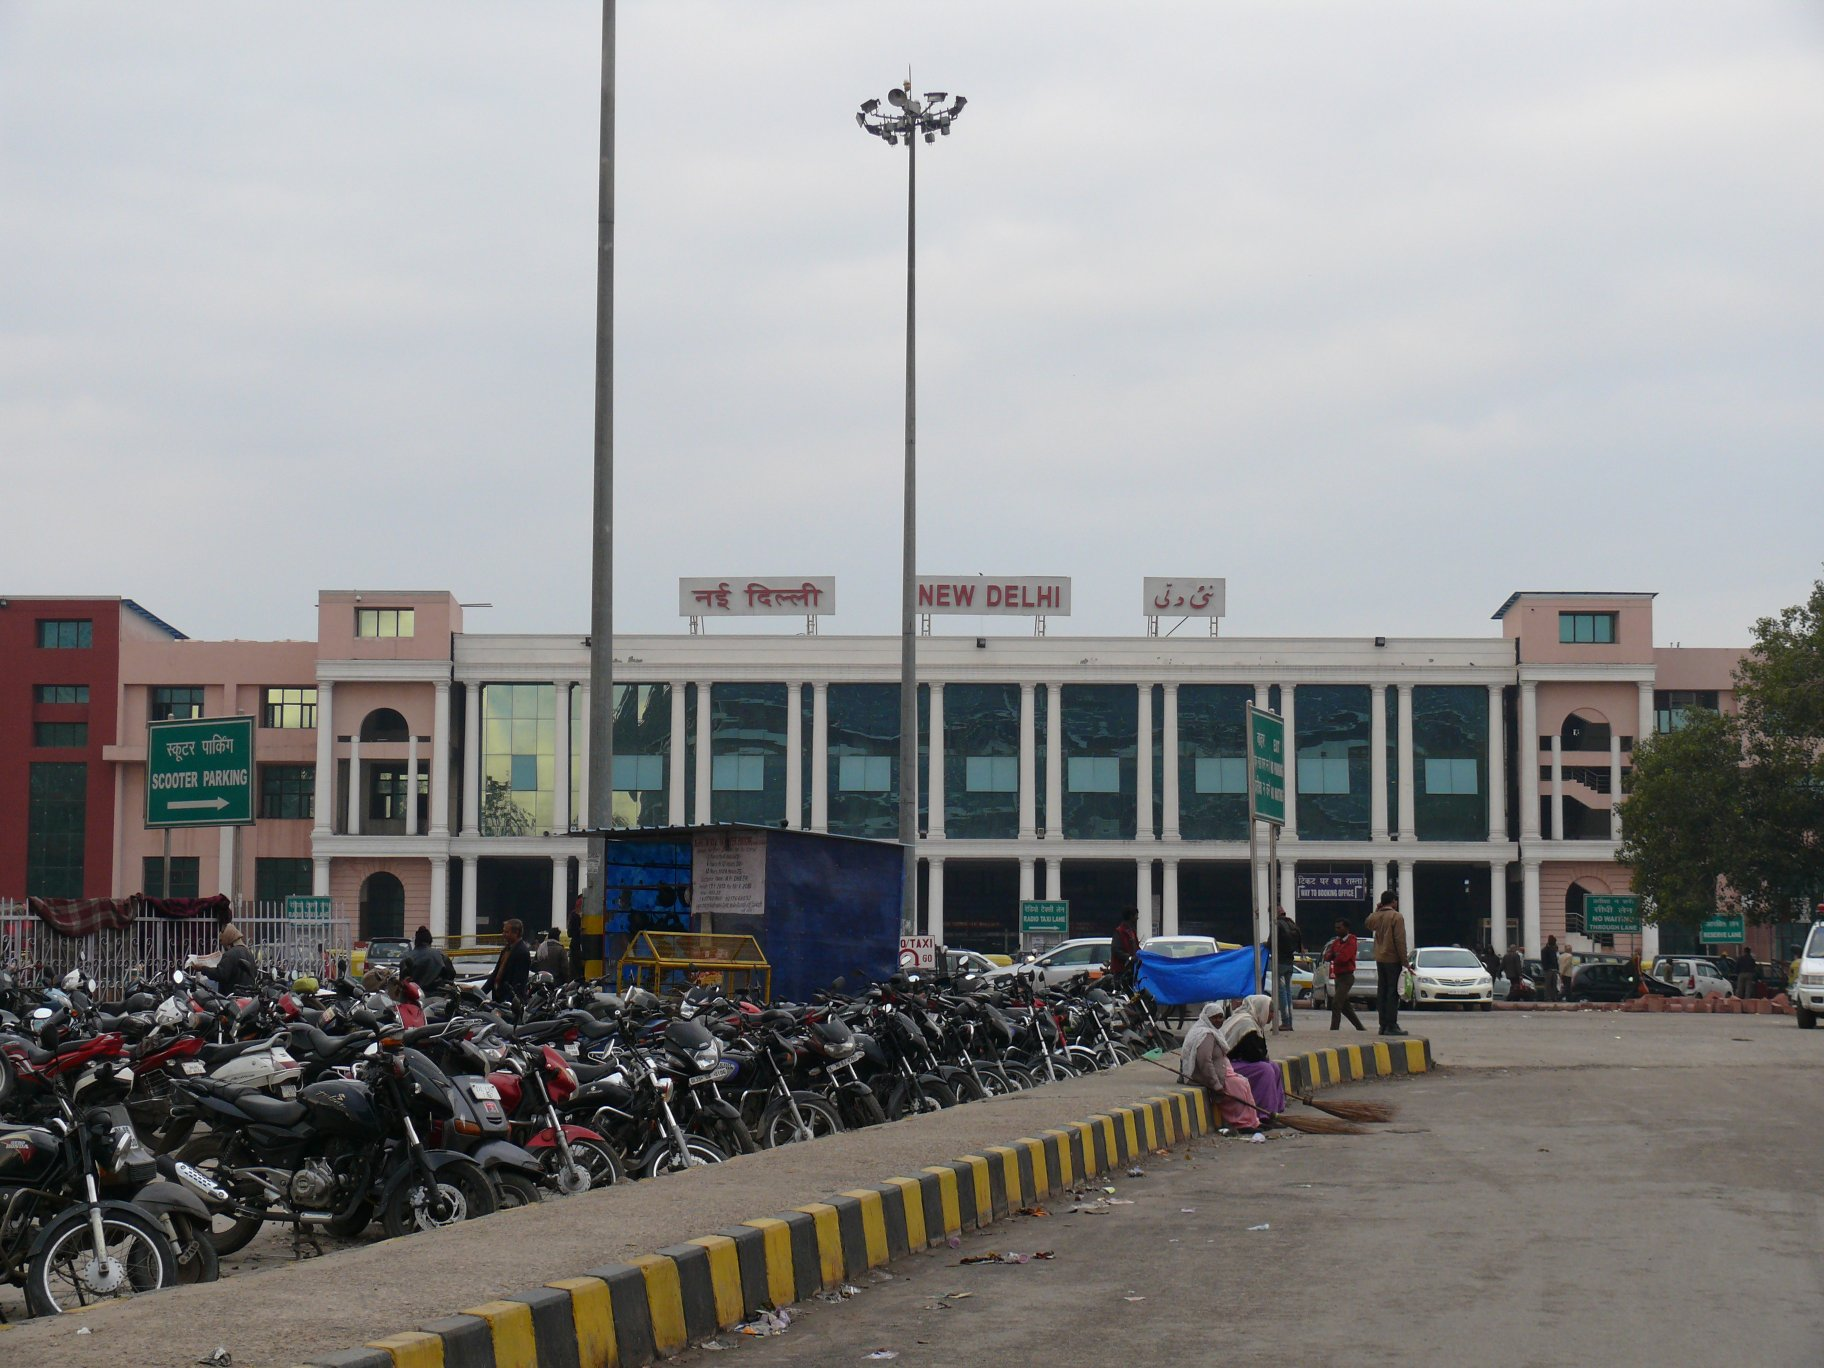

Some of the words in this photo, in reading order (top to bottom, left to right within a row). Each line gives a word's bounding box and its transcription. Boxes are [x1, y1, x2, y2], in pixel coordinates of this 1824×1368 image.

[691, 581, 733, 610] नई
[744, 580, 822, 608] दिल्ली
[917, 583, 975, 605] NEW
[986, 584, 1061, 607] DELHI
[165, 741, 195, 762] स्कूटर
[199, 733, 235, 755] पार्किंग
[151, 769, 197, 790] SCOOTER
[201, 766, 251, 791] PARKING